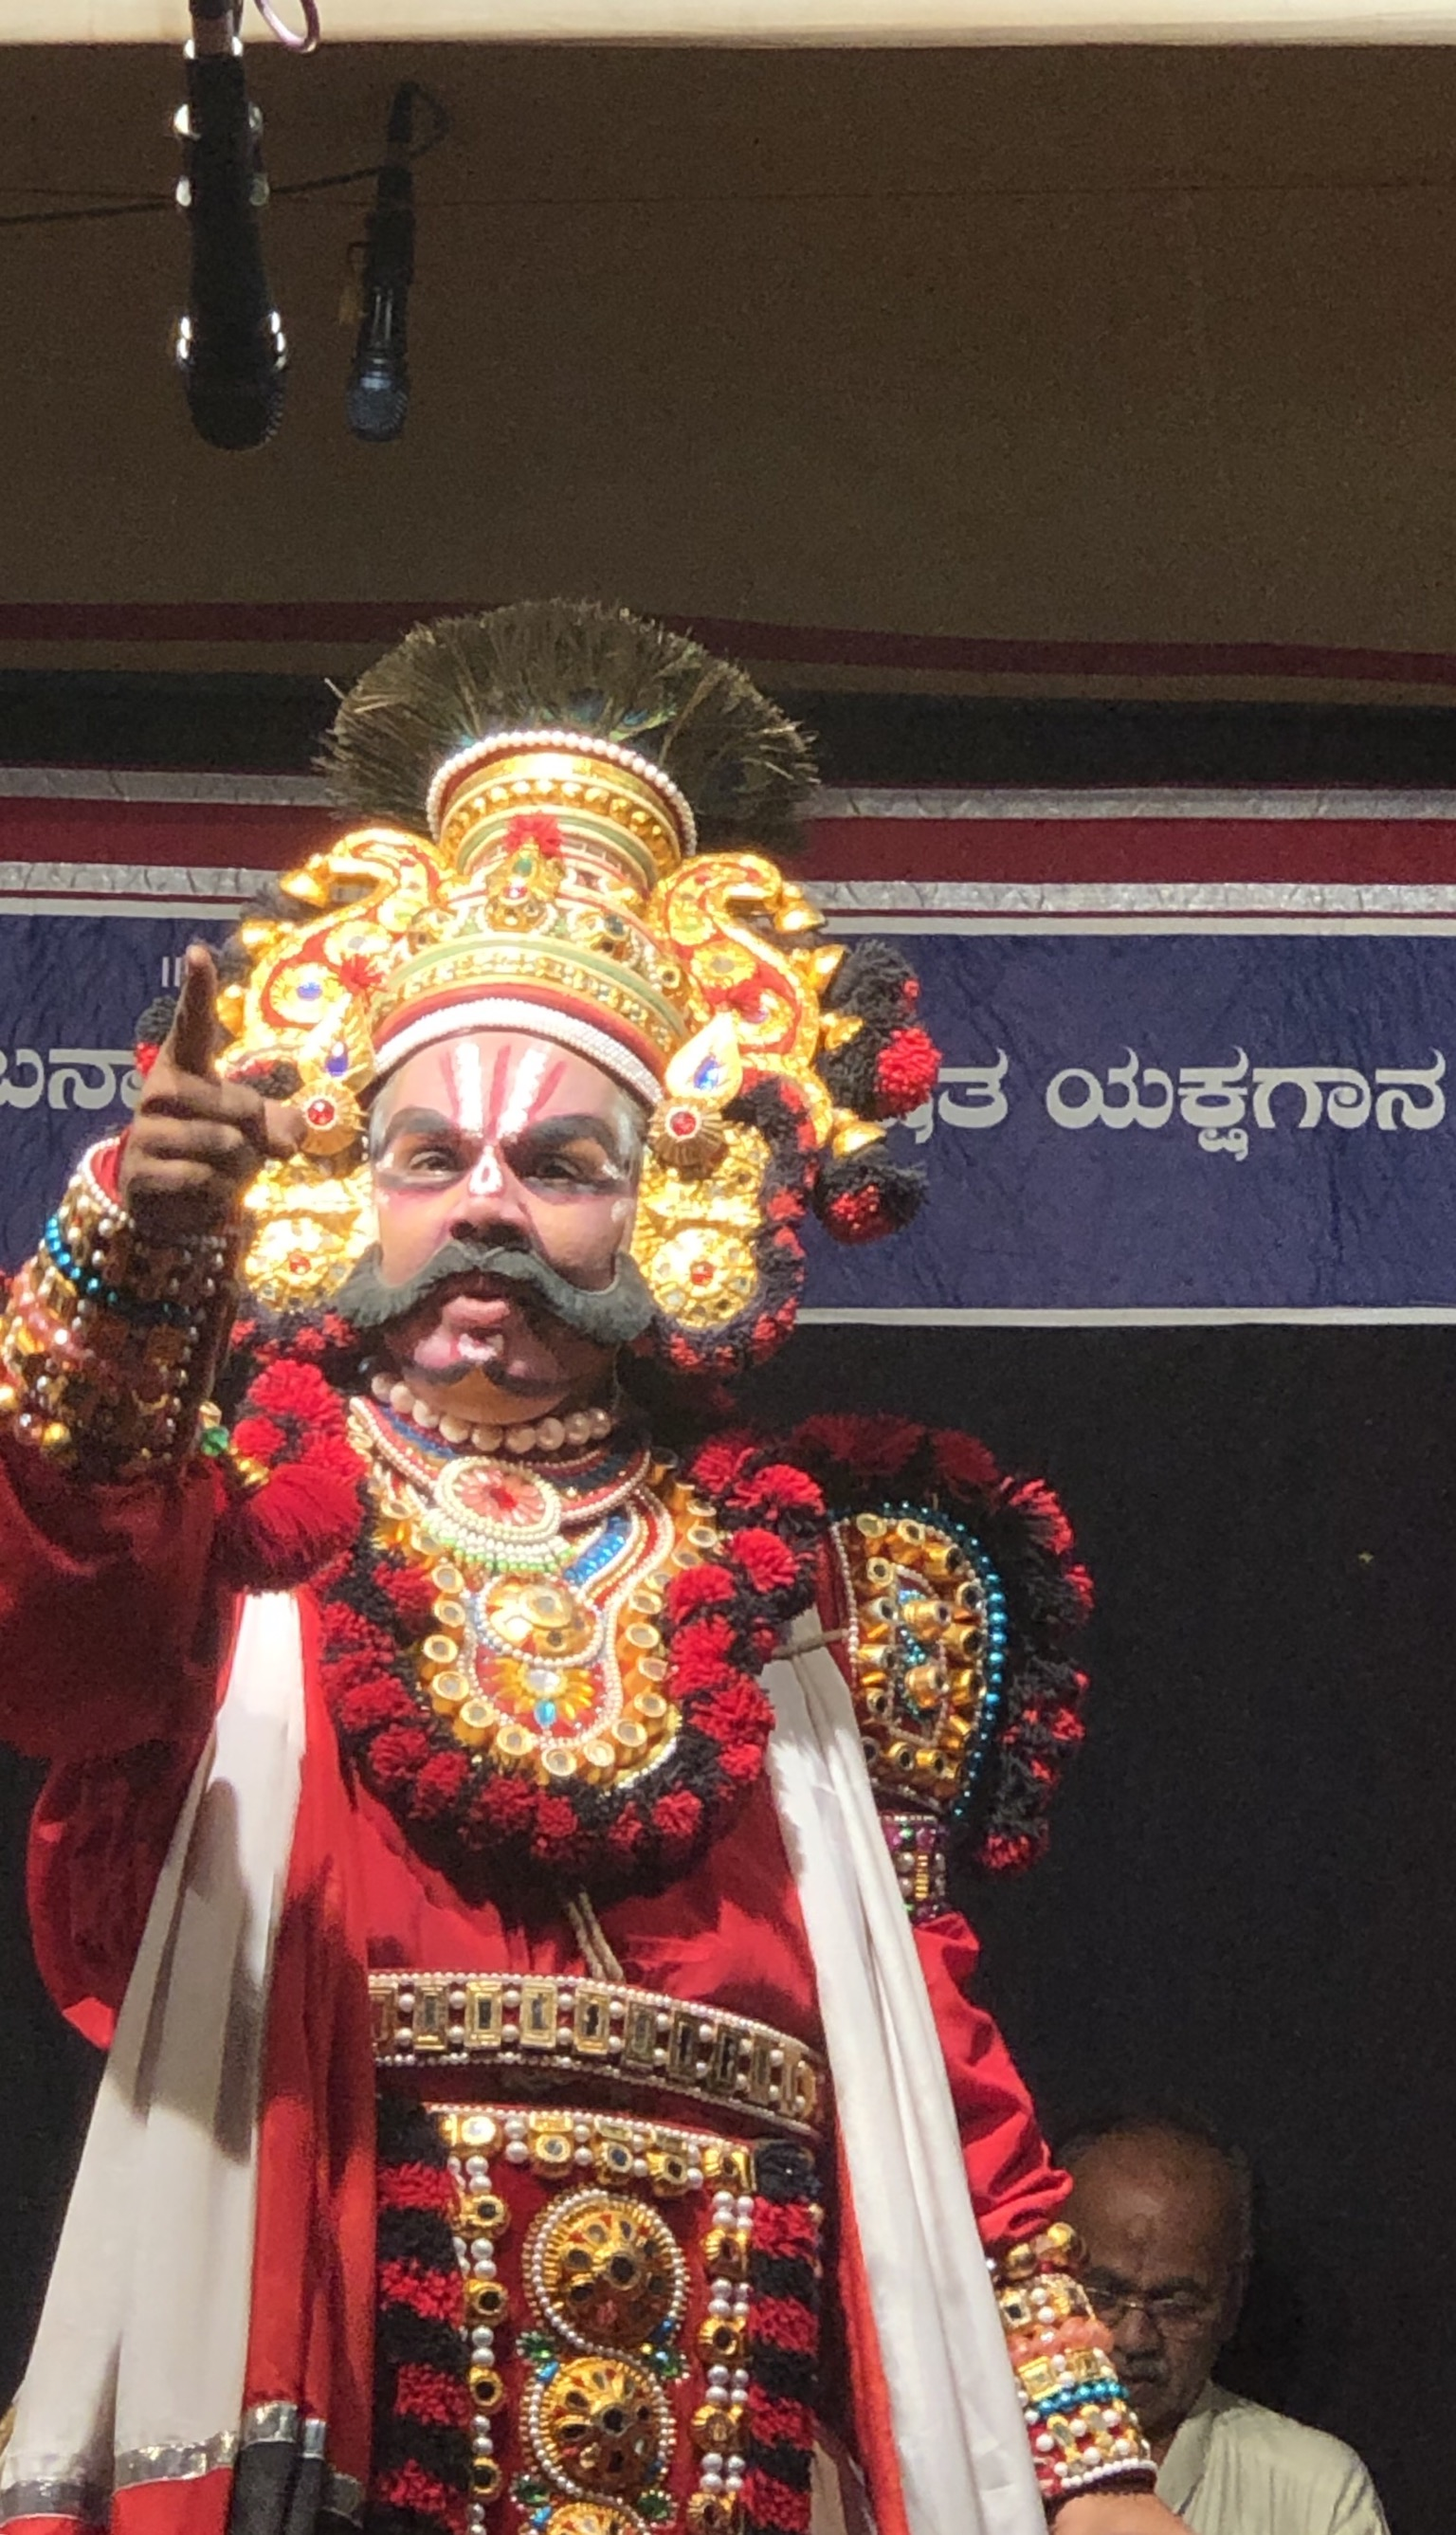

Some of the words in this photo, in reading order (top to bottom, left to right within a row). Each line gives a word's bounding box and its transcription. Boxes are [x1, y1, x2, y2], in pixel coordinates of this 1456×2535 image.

[1030, 1037, 1452, 1172] ಯಕ್ಷಗಾನ